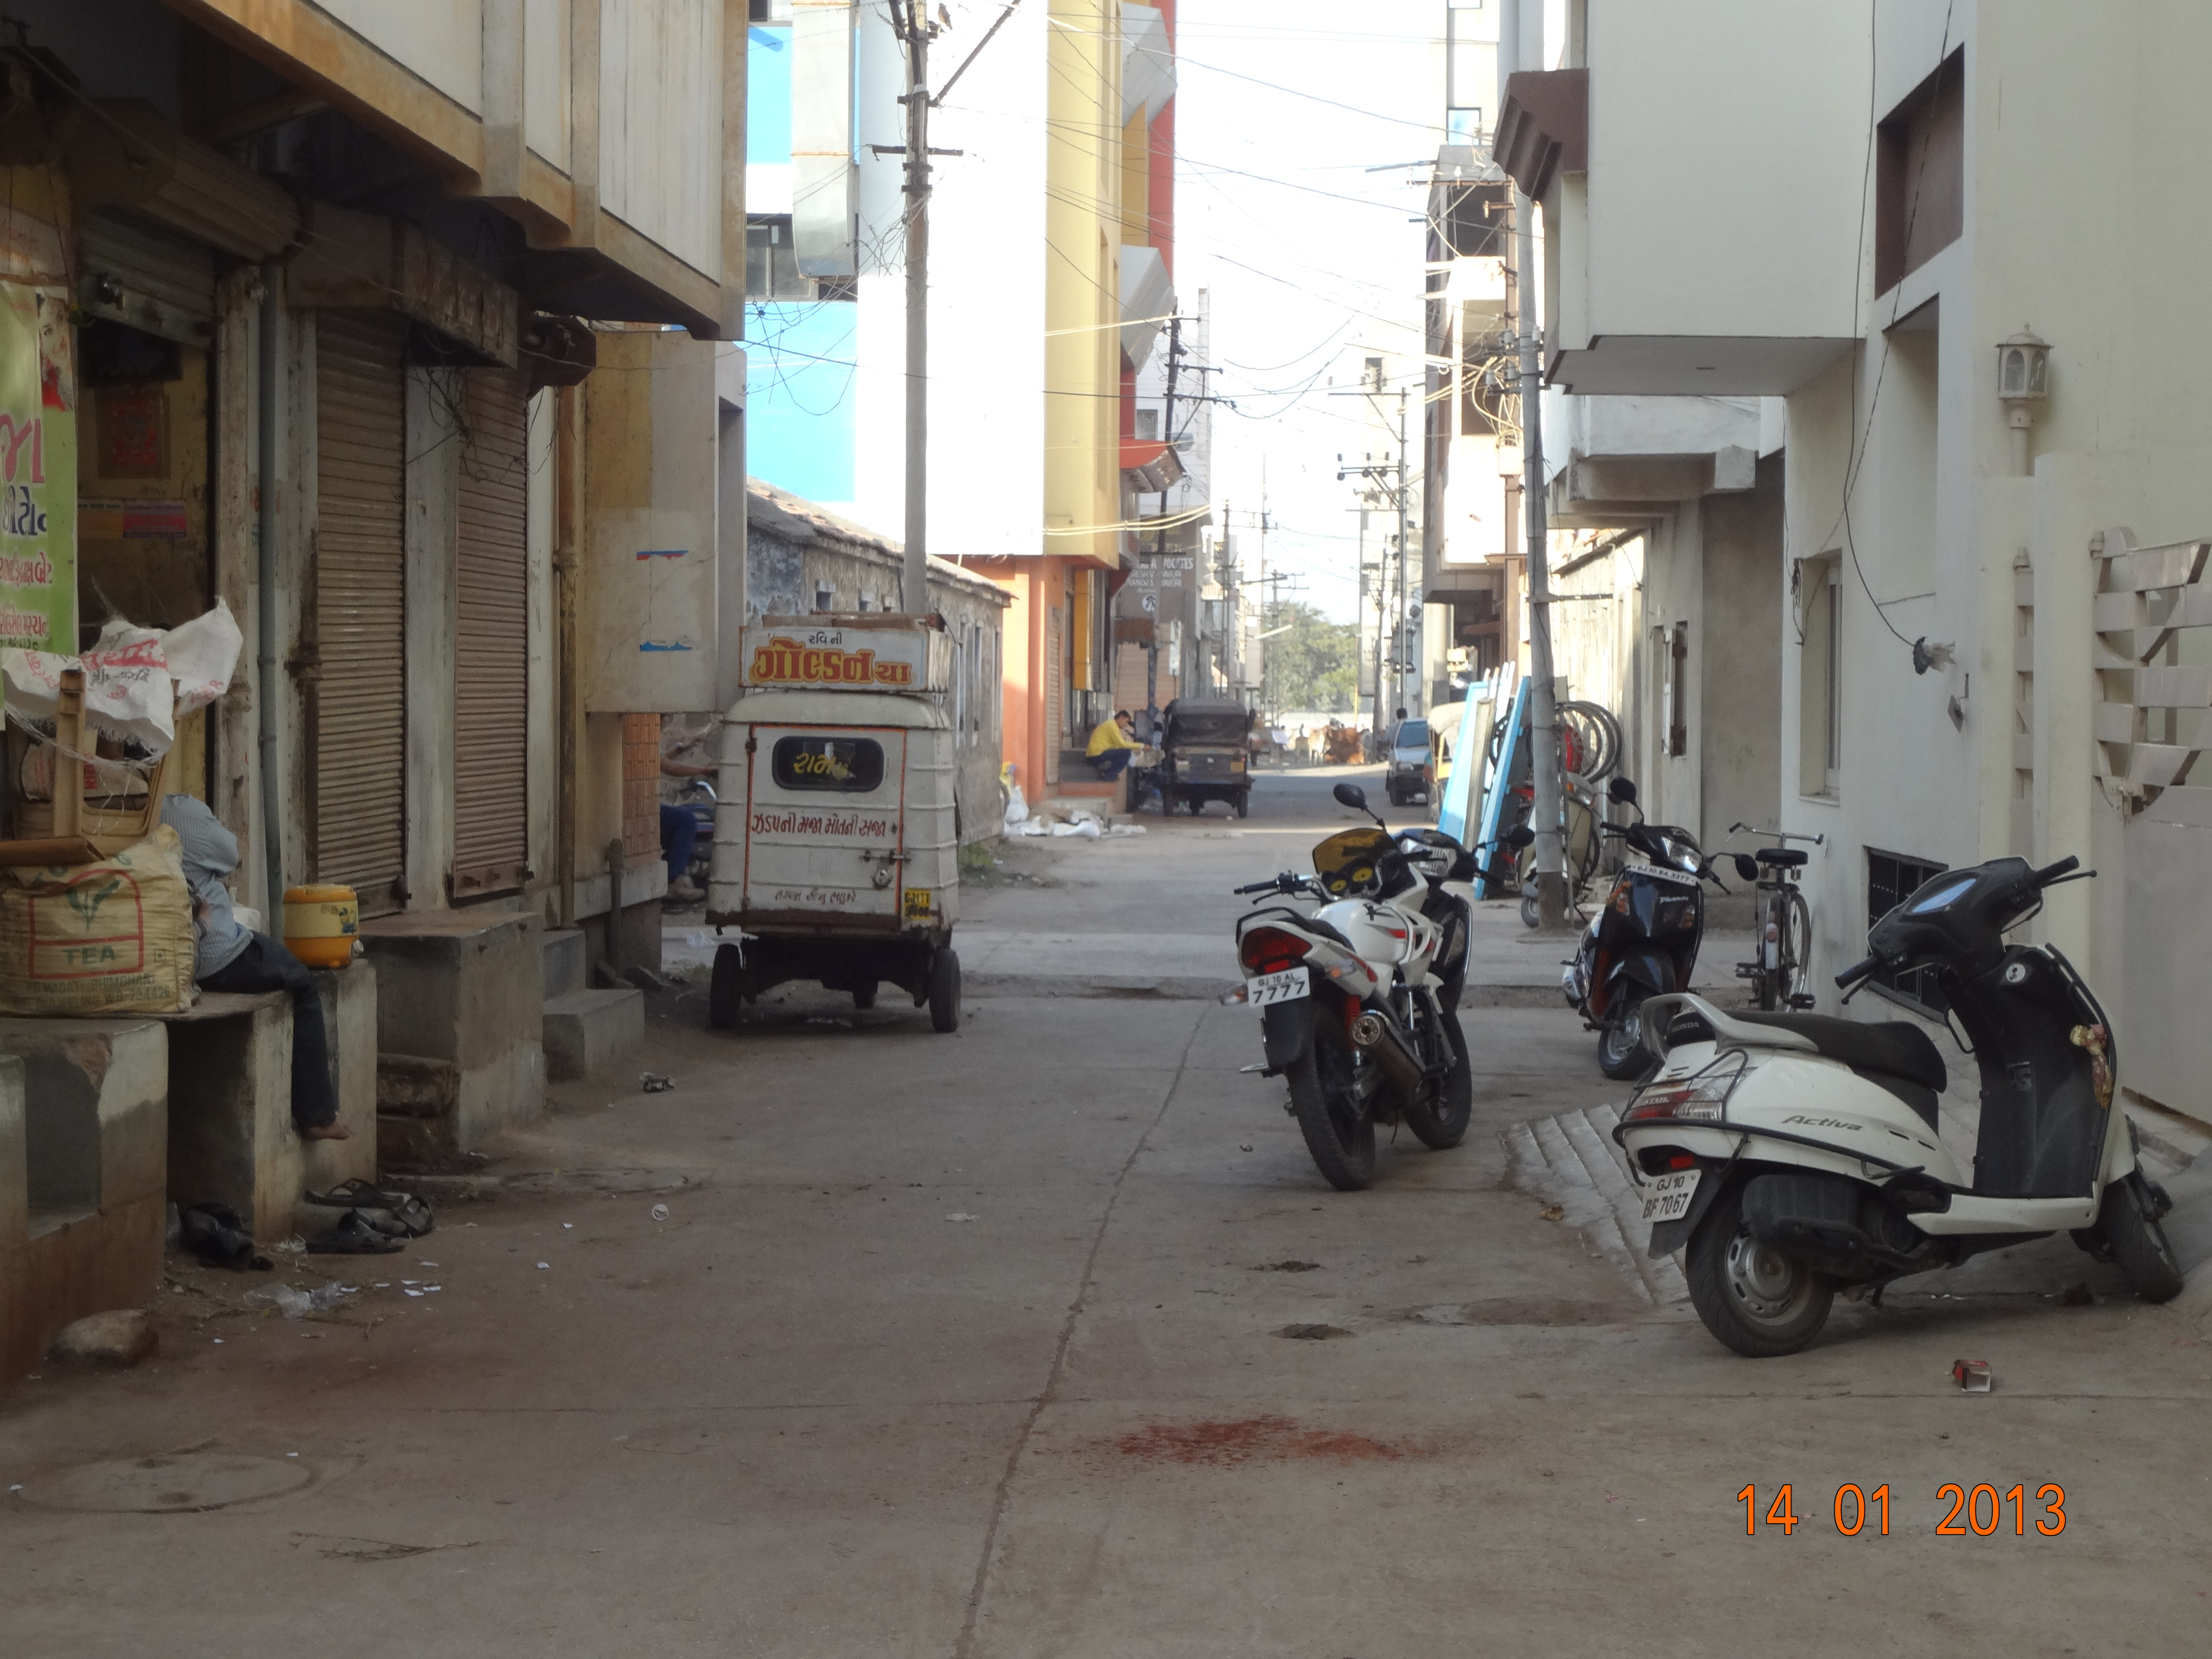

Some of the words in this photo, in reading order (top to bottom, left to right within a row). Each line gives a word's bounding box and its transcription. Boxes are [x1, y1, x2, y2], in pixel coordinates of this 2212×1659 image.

[807, 629, 828, 645] રવિ
[829, 629, 844, 644] ની
[750, 633, 877, 685] મૉલ્ડન
[874, 658, 917, 689] ચા
[791, 750, 852, 779] રામ
[750, 810, 799, 835] ઝડપની
[796, 812, 823, 834] મજા
[823, 812, 860, 837] મોતની
[857, 817, 889, 837] સજા
[55, 942, 120, 968] TEA
[1257, 975, 1271, 988] GJ
[1248, 979, 1306, 1005] 7777
[1272, 972, 1283, 984] 10
[1285, 969, 1298, 981] AL
[1651, 1175, 1673, 1192] GJ
[1671, 1172, 1689, 1189] 10
[1641, 1196, 1661, 1218] BF
[1657, 1192, 1689, 1216] 7067
[1724, 1470, 1898, 1549] 1401
[1925, 1477, 2076, 1551] 2013